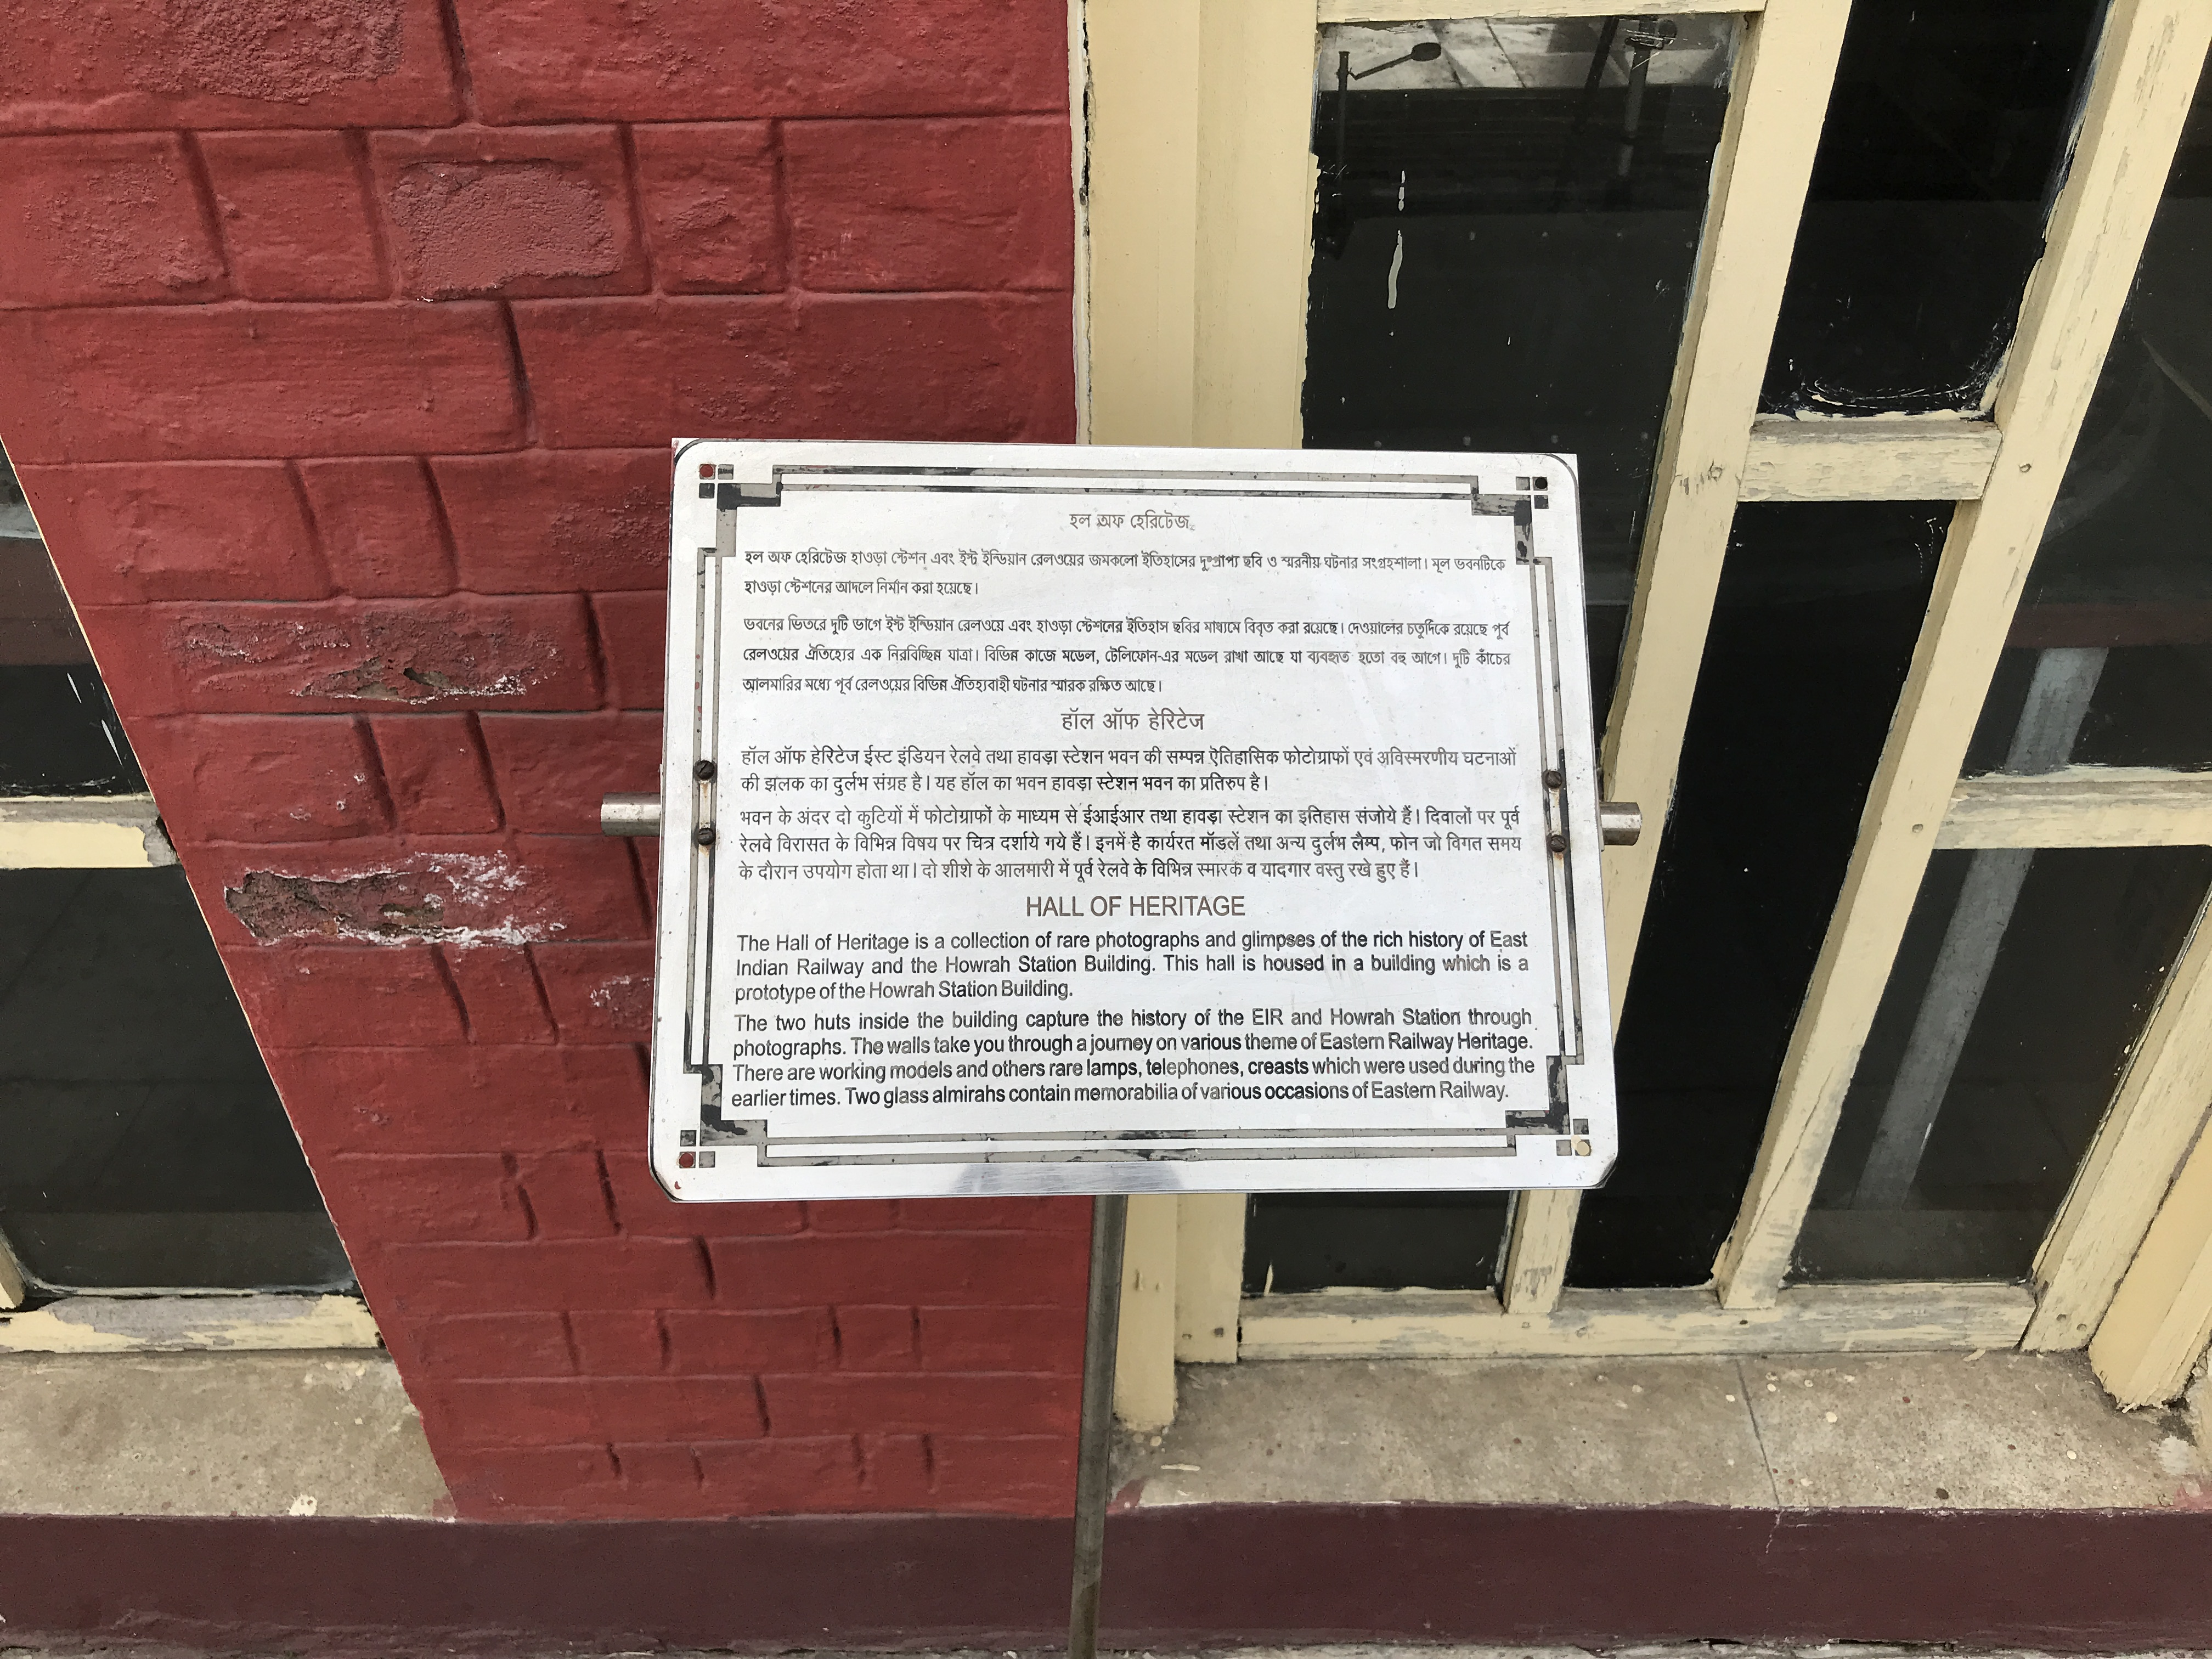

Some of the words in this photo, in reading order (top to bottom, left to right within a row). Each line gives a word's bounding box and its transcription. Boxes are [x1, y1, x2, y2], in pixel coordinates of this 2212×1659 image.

[1059, 510, 1098, 535] হল
[1093, 504, 1130, 535] অফ
[1124, 503, 1190, 534] হেরিটেজ
[736, 546, 768, 575] হল
[763, 543, 796, 571] অফ
[791, 543, 850, 569] হেরিটেজ
[849, 546, 888, 570] হাওড়া
[887, 541, 932, 572] স্টেশন
[932, 549, 956, 567] এবং
[952, 544, 983, 573] ইস্ট
[974, 542, 1029, 569] ইন্ডিয়ান
[1030, 548, 1088, 567] রেলওয়ের
[1083, 551, 1141, 568] জমকলো
[1127, 542, 1198, 570] ইতিহাসের
[1198, 550, 1242, 577] দুষ্প্রাপ্য
[1238, 544, 1270, 574] ছবি
[1265, 552, 1280, 570] ও
[1278, 551, 1323, 570] স্মরনীয়
[1321, 548, 1367, 574] ঘটনার
[1357, 552, 1425, 573] সংগ্রহশালা
[1424, 550, 1455, 577] মূল
[1452, 548, 1509, 574] ভবনটিকে
[739, 575, 784, 599] হাওড়া
[778, 572, 837, 597] স্টেশনের
[830, 574, 877, 602] আদলে
[869, 572, 910, 598] নির্মান
[912, 575, 939, 600] করা
[932, 578, 980, 599] হয়েছে৷
[742, 612, 788, 634] ভবনের
[782, 608, 831, 634] ডিতরে
[825, 610, 853, 639] দুটি
[847, 612, 885, 636] ভাগে
[877, 612, 908, 634] ইস্ট
[905, 613, 958, 637] ইন্ডিয়ান
[954, 614, 1006, 637] রেলওয়ে
[1005, 616, 1035, 635] এবং
[1033, 615, 1076, 640] হাওড়া
[1074, 611, 1126, 636] স্টেশনের
[1119, 611, 1170, 638] ইতিহাস
[1168, 610, 1204, 638] ছবির
[1198, 614, 1243, 635] মাধ্যমে
[1238, 608, 1278, 639] বিবৃত
[1274, 614, 1305, 638] করা
[1297, 614, 1341, 636] রয়েছে
[1345, 619, 1406, 640] দেওয়ালের
[1403, 616, 1453, 642] চতুর্দিকে
[1449, 619, 1494, 640] রয়েছে
[1487, 614, 1513, 643] পুর্ব
[742, 645, 805, 663] রেলওয়ের
[800, 639, 860, 663] ঐতিহ্যের
[856, 644, 888, 664] এক
[880, 640, 944, 665] নিরবিচ্ছিন্ন
[945, 643, 974, 666] যাত্রা
[975, 637, 1022, 665] বিভিন্ন
[1017, 640, 1057, 672] কাজে
[1059, 642, 1099, 669] মডেল,
[1101, 640, 1183, 667] টেলিফোন-এর
[1182, 647, 1221, 666] মডেল
[1218, 645, 1250, 666] রাখা
[1251, 645, 1293, 667] আছে
[1287, 648, 1306, 664] যা
[1300, 647, 1349, 665] ব্যবহৃত
[1352, 645, 1389, 668] হতো
[1385, 645, 1410, 668] বহু
[1405, 646, 1445, 665] আগে
[1447, 640, 1474, 672] দুটি
[1470, 646, 1515, 671] কাঁচের
[741, 670, 806, 696] আলমারির
[799, 674, 837, 696] মধ্যে
[828, 670, 913, 698] পূর্ব রেলওয়ের
[907, 669, 950, 693] বিভিন্ন
[947, 670, 1014, 694] ঐতিহ্যবাহী
[1009, 673, 1052, 693] ঘটনার
[1048, 674, 1090, 697] স্মারক
[1081, 668, 1125, 693] রক্ষিত
[1122, 677, 1163, 694] আছে৷
[1059, 703, 1097, 735] हाॅल
[1091, 701, 1139, 737] ऑफ
[1142, 697, 1211, 737] हेरिटेज
[735, 740, 772, 767] हाॅल
[770, 738, 808, 769] ऑफ
[803, 740, 864, 770] हेरिटेज
[857, 742, 896, 770] ईस्ट
[895, 741, 946, 768] इंडियन
[941, 740, 984, 768] रेलवे
[983, 741, 1018, 768] तथा
[1014, 747, 1060, 769] हावड़ा
[1057, 741, 1106, 771] स्टेशन
[1104, 741, 1144, 769] भवन
[1139, 741, 1166, 767] की
[1150, 737, 1211, 771] की सम्पन्न
[1199, 738, 1280, 768] ऎतिहासिक
[1276, 745, 1357, 768] फोटोग्राफों
[1347, 738, 1375, 772] एवं
[1374, 740, 1467, 769] अविस्मरणीय
[1460, 742, 1519, 770] घटनाओं
[735, 763, 761, 794] की
[762, 772, 810, 794] झलक
[808, 774, 833, 795] का
[828, 766, 872, 799] दुर्लभ
[871, 768, 910, 796] संग्रह
[904, 764, 934, 798] है।
[930, 772, 961, 795] यह
[955, 766, 991, 794] हॉल
[987, 775, 1012, 795] का
[1012, 770, 1051, 797] भवन
[1047, 775, 1093, 796] हावड़ा
[1088, 766, 1143, 793] स्टेशन
[1134, 771, 1175, 793] भवन
[1173, 773, 1198, 789] का
[1192, 769, 1246, 795] प्रतिरुप
[1243, 769, 1272, 798] है।
[738, 808, 775, 827] भवन
[771, 801, 796, 828] के
[793, 803, 834, 828] अंदर
[831, 800, 855, 828] दो
[854, 804, 910, 834] कुटियों
[901, 799, 924, 826] में
[918, 802, 995, 828] फोटोग्राफों
[992, 800, 1014, 825] के
[1014, 805, 1062, 828] माध्यम
[1060, 798, 1081, 824] से
[1077, 800, 1147, 831] ईआईआर
[1144, 803, 1177, 827] तथा
[1181, 800, 1227, 828] हावड़ा
[1223, 798, 1271, 827] स्टेशन
[1273, 804, 1297, 828] का
[1294, 800, 1353, 830] इतिहास
[1351, 800, 1398, 830] संजोये
[1392, 801, 1425, 827] हैं।
[1421, 798, 1476, 827] दिवालों
[1477, 805, 1498, 825] पर
[1496, 802, 1522, 833] पूर्व
[732, 825, 775, 856] रेलवे
[769, 830, 831, 857] वि‍रासत
[826, 827, 852, 854] के
[845, 827, 901, 855] विभिन्न
[894, 828, 939, 856] विषय
[939, 833, 962, 855] प‍र
[958, 826, 999, 854] चि‍त्र
[997, 828, 1043, 855] दर्शाये
[1039, 827, 1068, 853] गये
[1062, 826, 1093, 854] हैं।
[1090, 825, 1132, 855] इनमें
[1125, 822, 1145, 854] है
[1145, 827, 1197, 853] कार्यरत
[1196, 827, 1243, 854] मॉडलें
[1240, 831, 1274, 851] तथा
[1273, 830, 1311, 855] अन्य
[1305, 827, 1348, 860] दुर्लभ
[1345, 827, 1381, 856] लैम्प
[1386, 828, 1423, 855] फोन
[1419, 827, 1446, 855] जो
[1439, 823, 1485, 853] विगत
[1486, 830, 1526, 858] समय
[735, 857, 754, 883] के
[753, 857, 801, 885] दौरान
[803, 857, 855, 882] उपयोग
[850, 856, 891, 883] होता
[890, 858, 913, 882] था
[917, 853, 941, 886] दो
[939, 856, 973, 881] शीशे
[972, 853, 995, 883] के
[989, 854, 1062, 880] आलमारी
[1051, 855, 1076, 879] में
[1070, 856, 1097, 888] पूर्व
[1090, 853, 1135, 882] रेलवे
[1127, 851, 1153, 881] के
[1143, 848, 1199, 881] विभिन्न
[1193, 855, 1246, 880] स्मारक
[1240, 861, 1261, 881] व
[1256, 856, 1315, 881] यादगार
[1311, 856, 1347, 887] वस्तु
[1344, 851, 1376, 881] रखे
[1370, 859, 1398, 888] हुए
[1389, 850, 1424, 884] हैं।
[1023, 889, 1085, 921] HALL
[1084, 888, 1124, 920] OF
[1125, 888, 1249, 918] HERITAGE
[732, 929, 773, 959] The
[774, 926, 816, 956] Hall
[810, 929, 835, 956] of
[835, 928, 912, 959] Heritage
[911, 928, 933, 957] is
[932, 932, 947, 952] a
[947, 927, 1034, 955] collection
[1031, 926, 1054, 953] of
[1052, 928, 1096, 955] rare
[1094, 928, 1202, 957] photographs
[1200, 929, 1239, 953] and
[1237, 927, 1321, 955] glimpses
[1314, 924, 1341, 953] of
[1336, 925, 1372, 951] the
[1369, 926, 1409, 952] rich
[1408, 926, 1468, 953] history
[1460, 927, 1491, 952] of
[1486, 923, 1533, 953] East
[735, 951, 792, 978] Indian
[796, 953, 868, 979] Railway
[868, 955, 907, 978] and
[908, 953, 942, 978] the
[944, 951, 1014, 979] Howrah
[1011, 949, 1081, 975] Station
[1082, 945, 1159, 981] Building.
[1159, 945, 1201, 975] This
[1203, 953, 1239, 972] hall
[1238, 950, 1260, 974] is
[1262, 952, 1329, 978] housed
[1327, 947, 1350, 975] in
[1350, 952, 1369, 977] a
[1370, 950, 1440, 981] building
[1441, 947, 1495, 974] which
[1491, 949, 1514, 974] is
[1514, 953, 1533, 975] a
[732, 979, 820, 1007] prototype
[812, 977, 840, 1005] of
[831, 980, 869, 1004] the
[865, 979, 938, 1003] Howrah
[932, 975, 1001, 999] Station
[997, 974, 1081, 1005] Building.
[731, 1009, 772, 1035] The
[774, 1006, 812, 1035] two
[810, 1007, 857, 1036] huts
[858, 1010, 912, 1031] inside
[913, 1009, 947, 1030] the
[949, 1006, 1022, 1035] building
[1019, 1008, 1093, 1031] capture
[1088, 996, 1126, 1030] the
[1121, 996, 1193, 1035] history
[1189, 1006, 1215, 1028] of
[1214, 1005, 1249, 1029] the
[1249, 1001, 1287, 1030] EIR
[1284, 996, 1329, 1032] and
[1322, 996, 1391, 1030] Howrah
[1398, 996, 1463, 1030] Station
[1464, 1003, 1537, 1033] through
[727, 1036, 850, 1060] photographs.
[846, 1034, 886, 1060] The
[884, 1033, 933, 1058] walls
[932, 1034, 973, 1055] take
[970, 1035, 1009, 1057] you
[1005, 1029, 1076, 1059] through
[1070, 1032, 1093, 1056] a
[1084, 1029, 1155, 1059] journey
[1153, 1030, 1182, 1054] on
[1175, 1028, 1245, 1053] various
[1242, 1030, 1301, 1051] theme
[1296, 1030, 1321, 1055] of
[1317, 1022, 1389, 1053] Eastern
[1386, 1026, 1458, 1055] Railway
[1456, 1026, 1535, 1058] Heritage.
[730, 1061, 786, 1086] There
[783, 1062, 820, 1087] are
[816, 1060, 887, 1090] working
[887, 1055, 956, 1082] models
[949, 1060, 991, 1083] and
[990, 1052, 1049, 1081] others
[1046, 1057, 1088, 1081] rare
[1084, 1056, 1144, 1084] lamps,
[1144, 1055, 1243, 1081] telephones
[1243, 1055, 1311, 1077] creasts
[1310, 1052, 1362, 1078] which
[1363, 1055, 1408, 1077] were
[1408, 1054, 1453, 1080] used
[1452, 1049, 1511, 1080] during
[1502, 1054, 1538, 1078] the
[729, 1083, 791, 1110] earlier
[788, 1085, 844, 1111] times.
[842, 1080, 885, 1111] Two
[880, 1083, 932, 1113] glass
[930, 1081, 1007, 1105] almirahs
[1005, 1083, 1073, 1106] contain
[1073, 1080, 1182, 1104] memorabilia
[1178, 1079, 1201, 1107] of
[1196, 1079, 1265, 1103] various
[1261, 1080, 1352, 1101] occasions
[1349, 1076, 1373, 1102] of
[1367, 1079, 1438, 1101] Eastern
[1436, 1079, 1512, 1106] Railway.